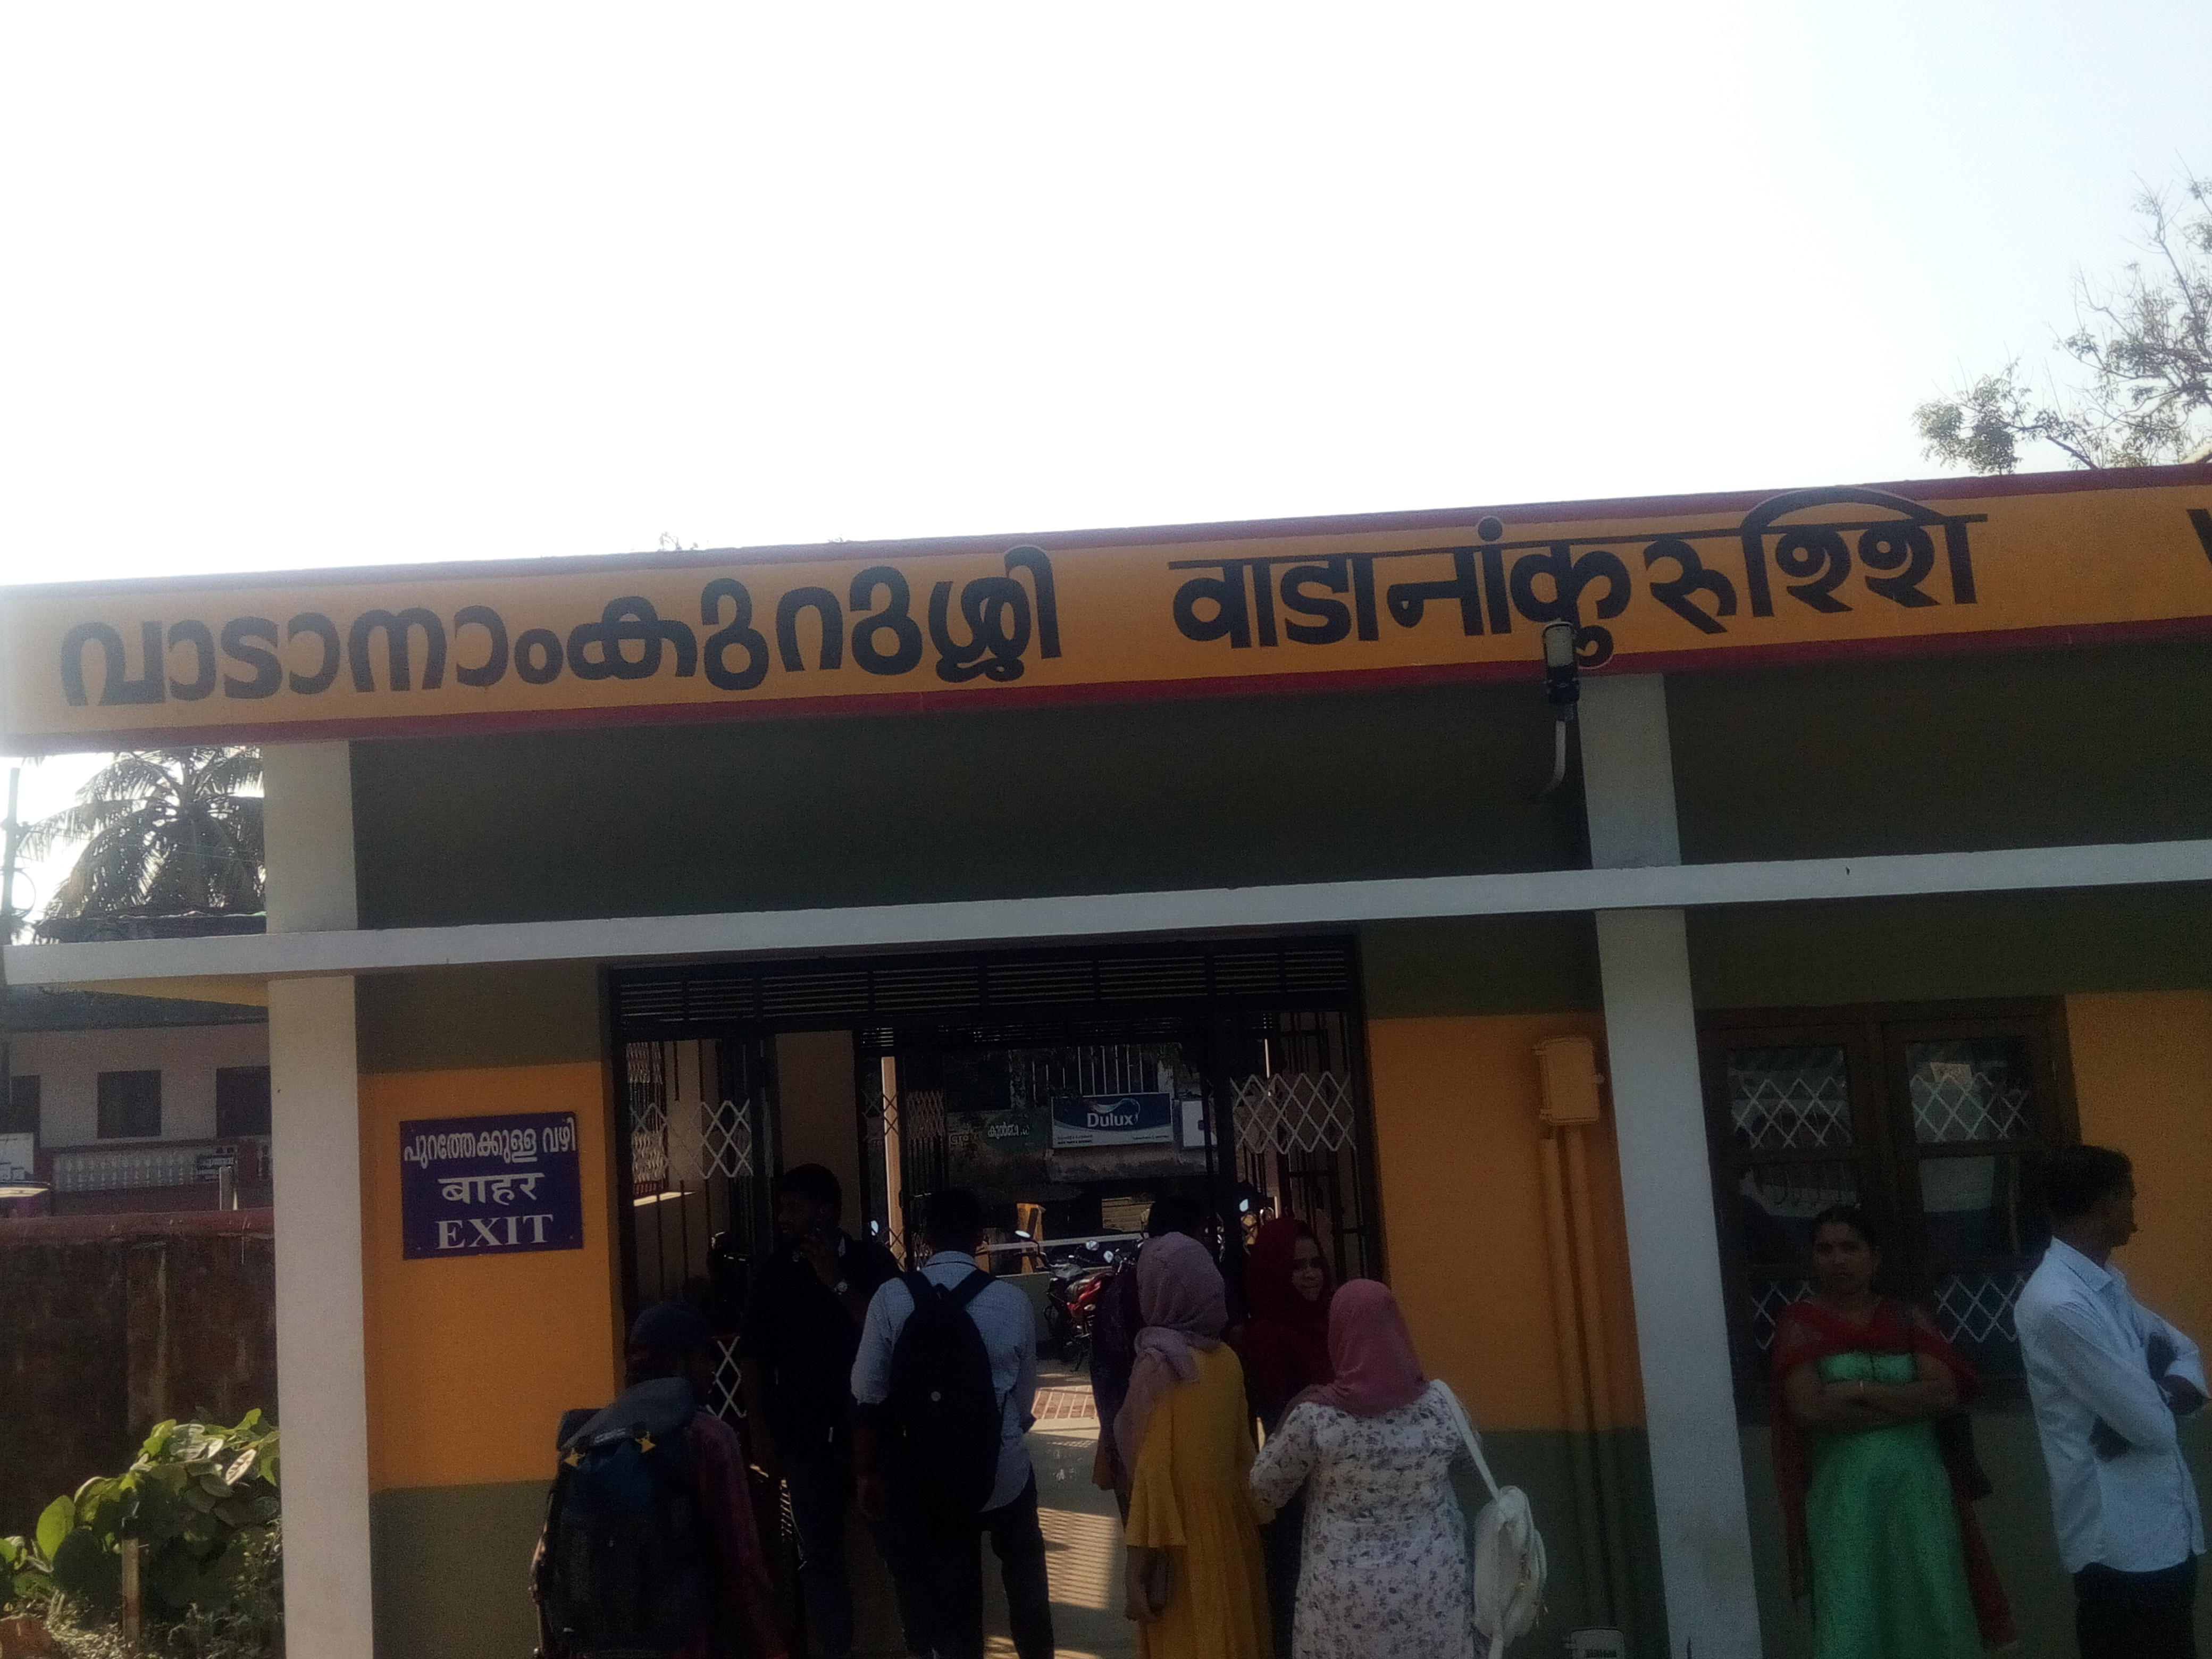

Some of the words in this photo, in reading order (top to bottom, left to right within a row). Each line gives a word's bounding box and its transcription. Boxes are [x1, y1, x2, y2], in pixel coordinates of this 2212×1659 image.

[1163, 479, 1992, 676] वाडानांकुरुश्शि
[59, 532, 1066, 710] വാടാനാംകുറുദ്ശി
[395, 1124, 543, 1177] പുറത്തേക്കുള്ള
[538, 1113, 583, 1159] വഴി
[432, 1169, 546, 1213] बाहर
[431, 1206, 558, 1257] EXIT